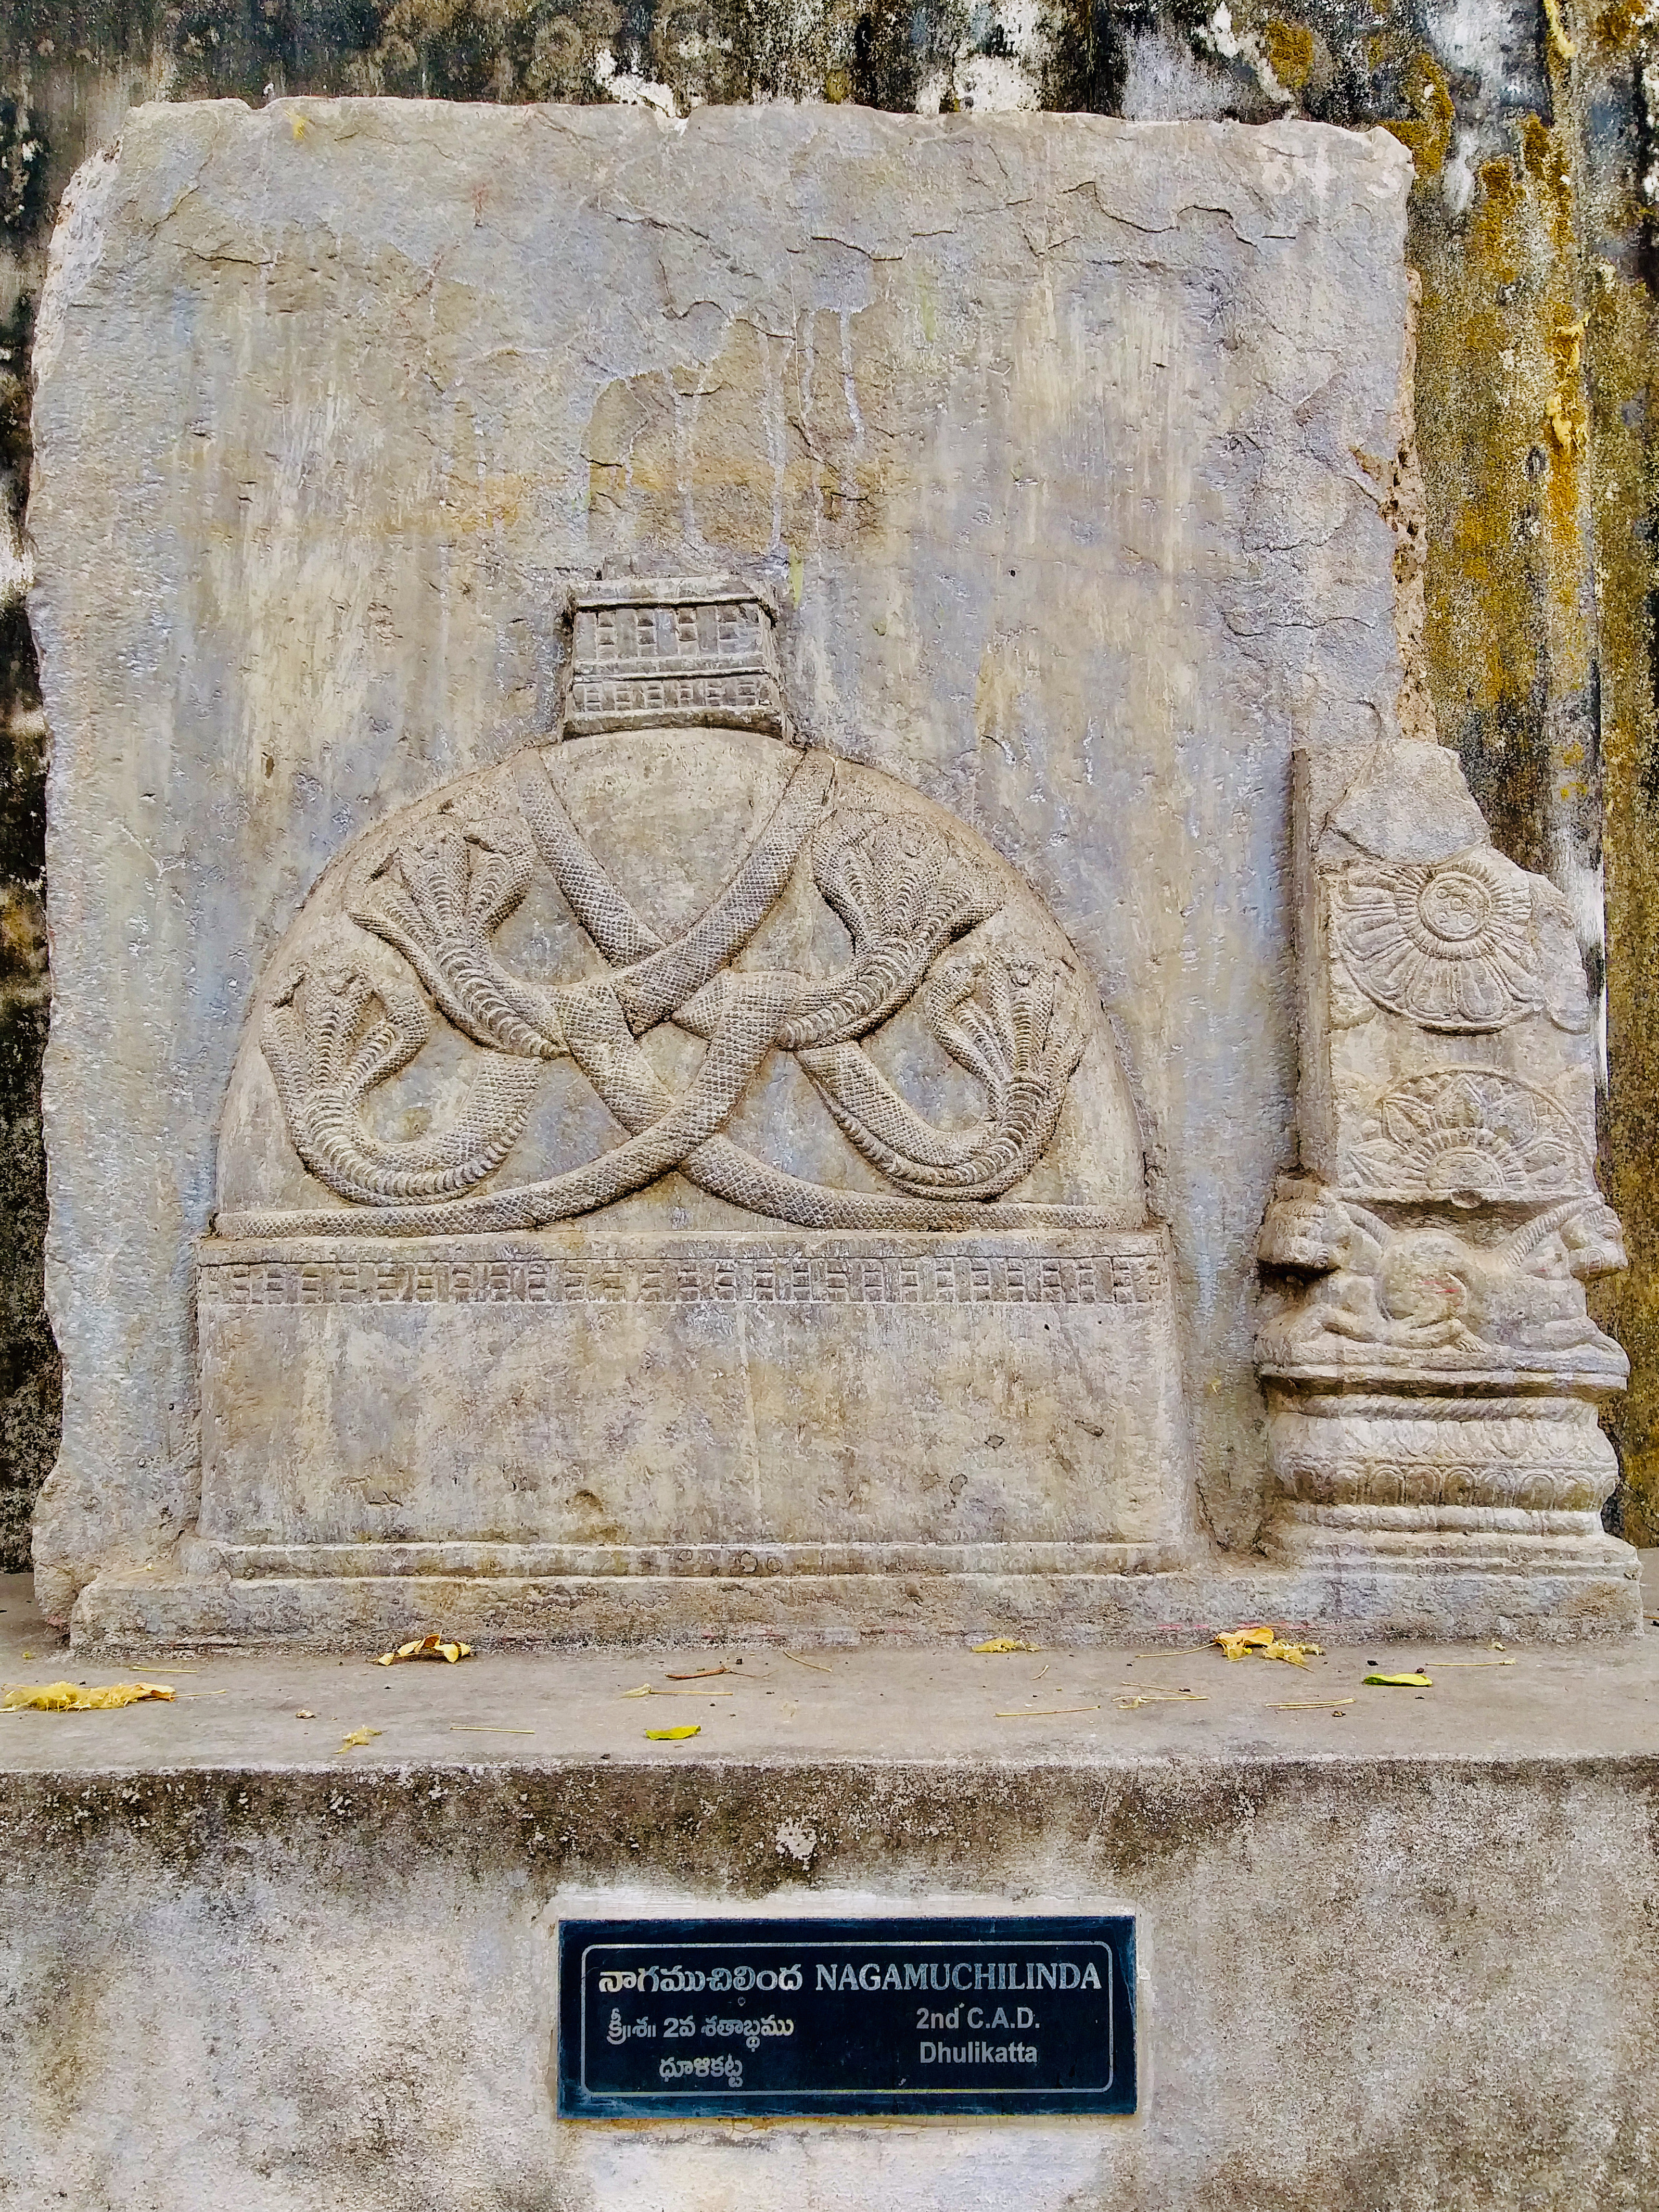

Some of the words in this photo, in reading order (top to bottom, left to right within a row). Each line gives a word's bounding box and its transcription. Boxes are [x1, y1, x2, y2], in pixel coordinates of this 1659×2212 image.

[593, 1961, 807, 1997] నాగముచిలింద
[812, 1958, 1104, 1994] NAGAMUCHILINDA
[602, 2001, 660, 2049] క్రీ॥శ॥
[656, 2011, 699, 2044] 2వ
[696, 2008, 798, 2054] శతాబ్థము
[915, 2005, 962, 2031] 2nd
[964, 1998, 1044, 2029] C.A.D.
[915, 2038, 1040, 2066] Dhulikatta
[654, 2050, 748, 2092] ధూళికట్ట